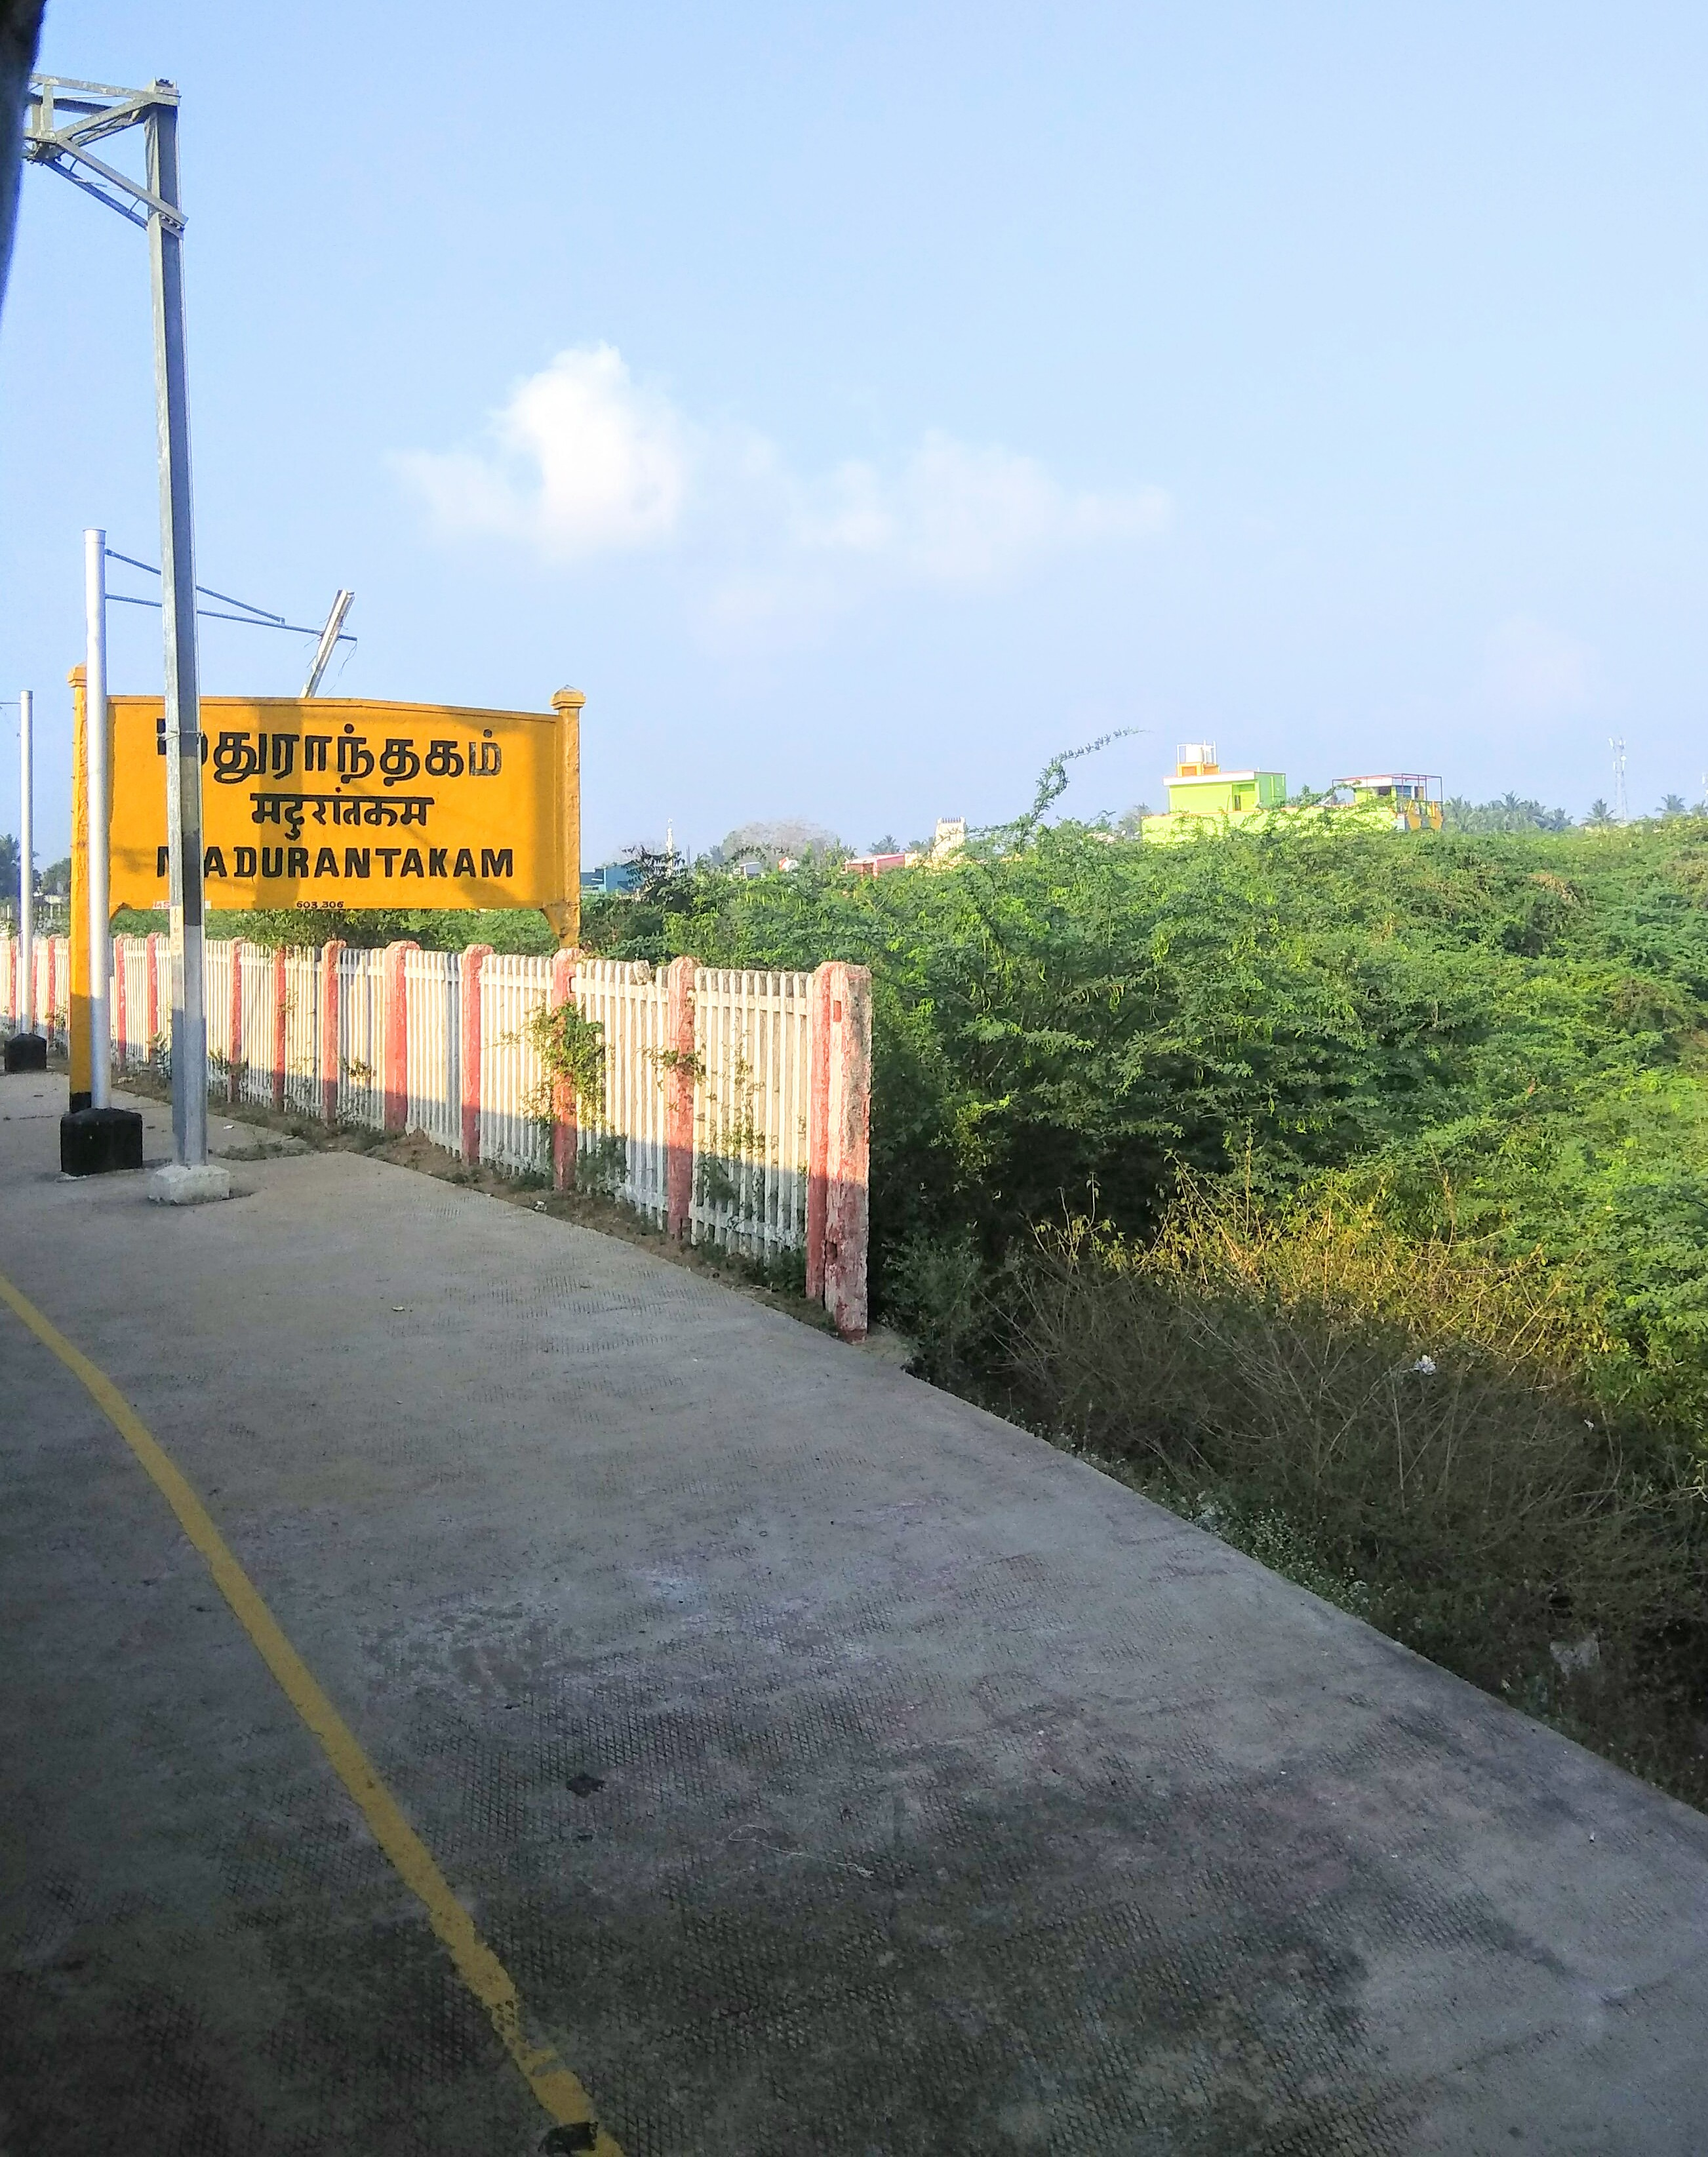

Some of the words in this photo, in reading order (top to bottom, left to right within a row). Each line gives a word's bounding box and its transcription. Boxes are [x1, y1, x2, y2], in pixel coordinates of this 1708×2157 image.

[209, 719, 507, 789] துராந்தகம்
[245, 781, 439, 845] मदुरांतकम
[151, 843, 515, 881] MADURANTAKAM